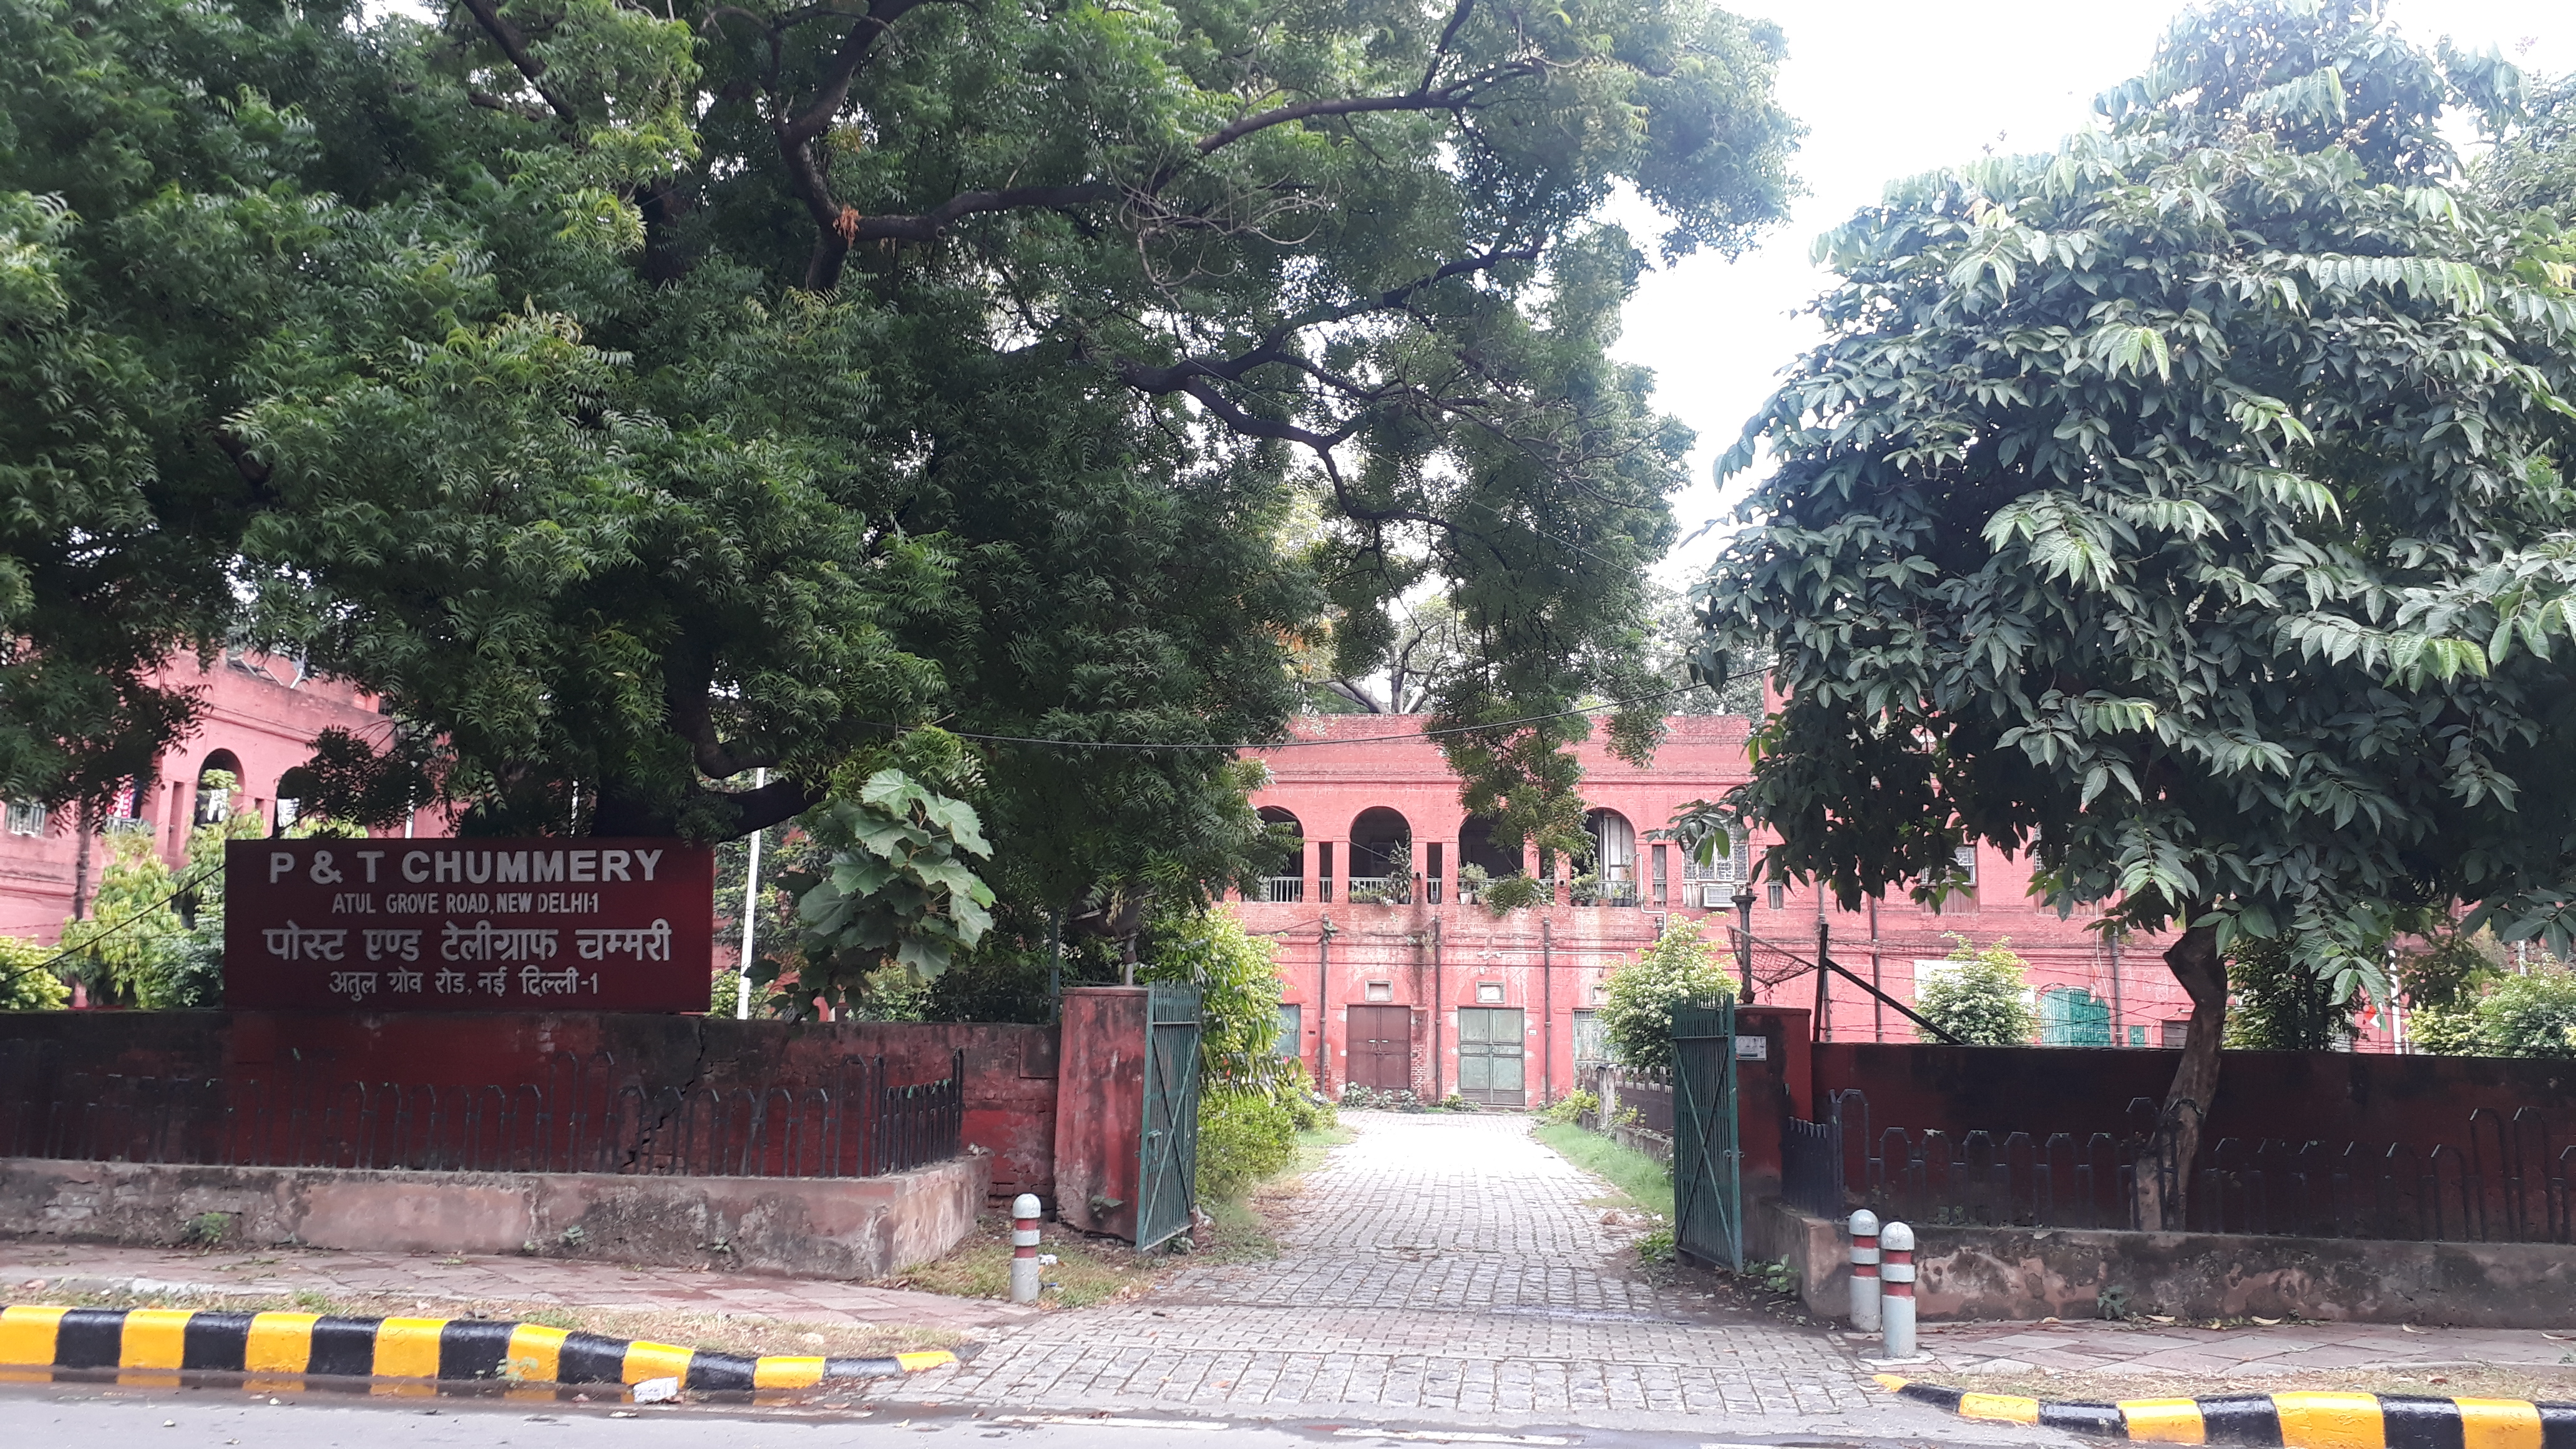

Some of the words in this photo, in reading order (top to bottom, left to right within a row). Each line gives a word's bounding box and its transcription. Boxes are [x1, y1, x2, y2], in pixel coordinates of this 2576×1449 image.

[266, 847, 300, 886] P
[307, 847, 346, 887] &
[354, 846, 386, 887] T
[399, 847, 666, 887] CHUMMERY
[328, 892, 378, 917] ATUL
[382, 890, 441, 917] GROVE
[444, 888, 492, 918] ROAD
[491, 891, 536, 917] NEW
[535, 889, 601, 916] DELHI-1
[258, 917, 349, 964] पोस्ट
[363, 925, 426, 967] एण्ड
[437, 916, 562, 965] टेलीग्राफ
[570, 913, 674, 965] चम्मरी
[324, 963, 383, 1007] अतुल
[383, 960, 424, 998] ग्रोव
[431, 962, 468, 998] रोड
[476, 964, 510, 1000] नई
[512, 962, 601, 1000] दिल्ली -1